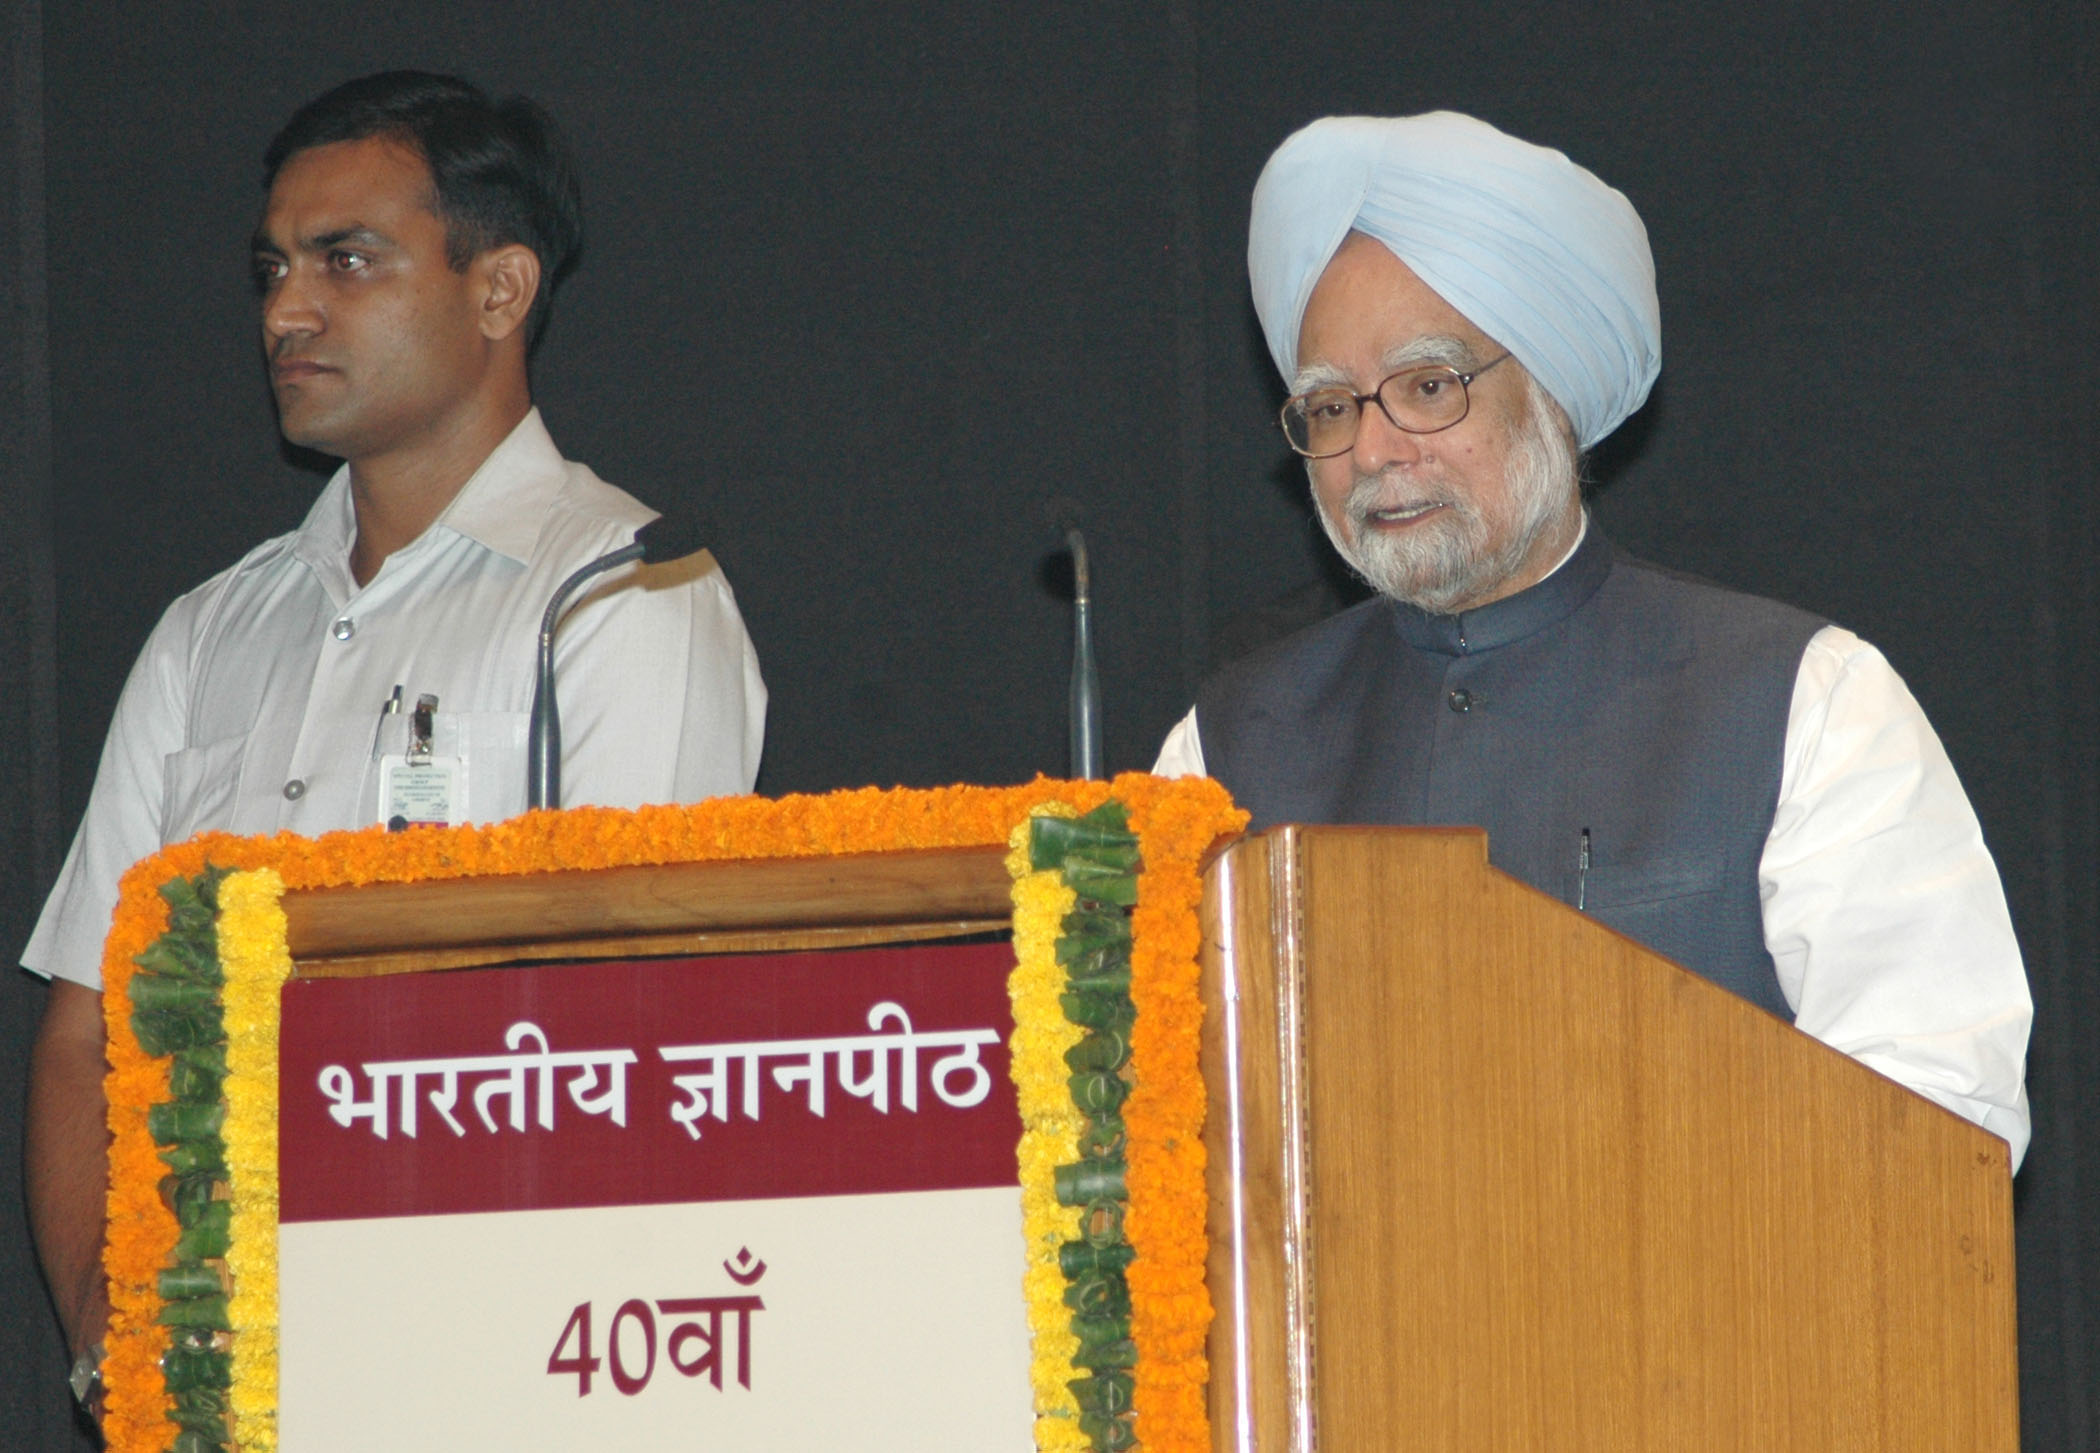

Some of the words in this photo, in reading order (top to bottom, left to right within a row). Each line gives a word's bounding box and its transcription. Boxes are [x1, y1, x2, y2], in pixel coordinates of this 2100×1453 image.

[312, 1014, 639, 1148] भारतीय
[654, 992, 1007, 1147] ज्ञानपीठ
[542, 1242, 772, 1409] 40वाँ